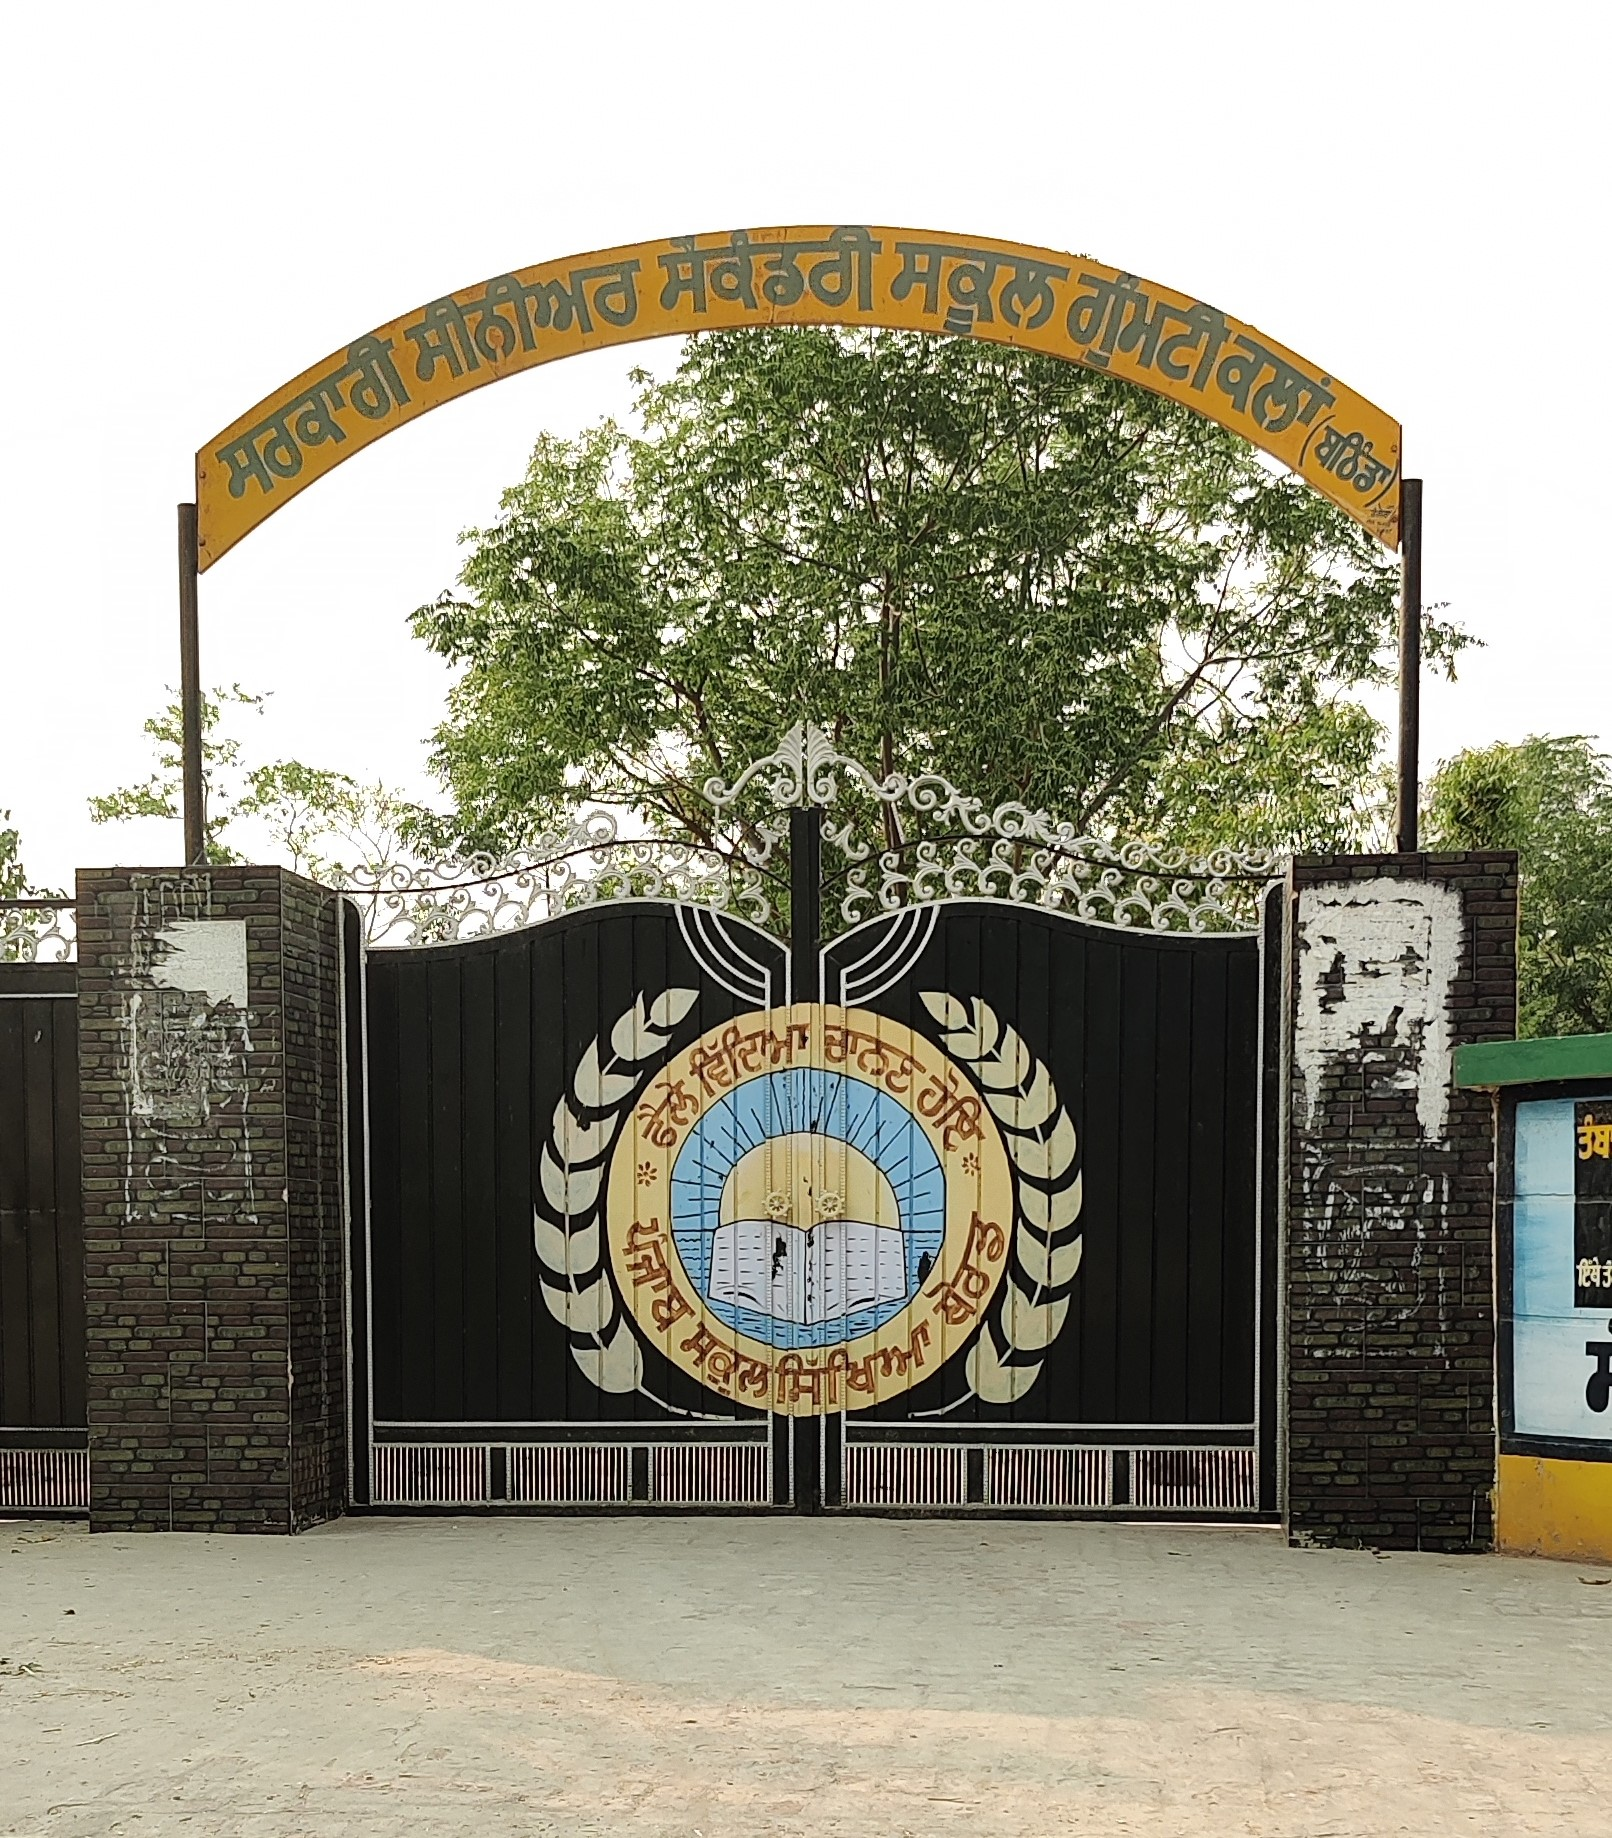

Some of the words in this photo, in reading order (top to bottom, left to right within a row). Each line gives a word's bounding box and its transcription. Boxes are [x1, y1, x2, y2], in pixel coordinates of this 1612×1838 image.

[395, 245, 647, 401] ਸੀਨੀਅਰ
[649, 225, 889, 329] ਸੈਕੰਡਰੀ
[884, 235, 1075, 351] ਸਕੂਲ
[1055, 261, 1346, 451] ਗੁਮਟੀਕਲਾਂ
[208, 325, 426, 510] ਸਰਕਾਰੀ
[1304, 419, 1395, 500] ਬਠਿੰਡਾ
[627, 1065, 709, 1157] ਫੈਲੇ
[678, 1010, 817, 1103] ਵਿੱਦਿਆ
[813, 1016, 935, 1108] ਚਾਨਣ
[909, 1059, 997, 1161] ਹੋਇ
[1573, 1109, 1611, 1171] ਤੰਬ
[618, 1205, 701, 1341] ਪੰਜਾਬ
[917, 1206, 1010, 1337] ਬੋਹਡ
[1574, 1253, 1603, 1294] ਇਂਥੇ
[663, 1306, 775, 1406] ਸਕੁਲ
[769, 1309, 947, 1411] ਸਿੱਖਿਆ